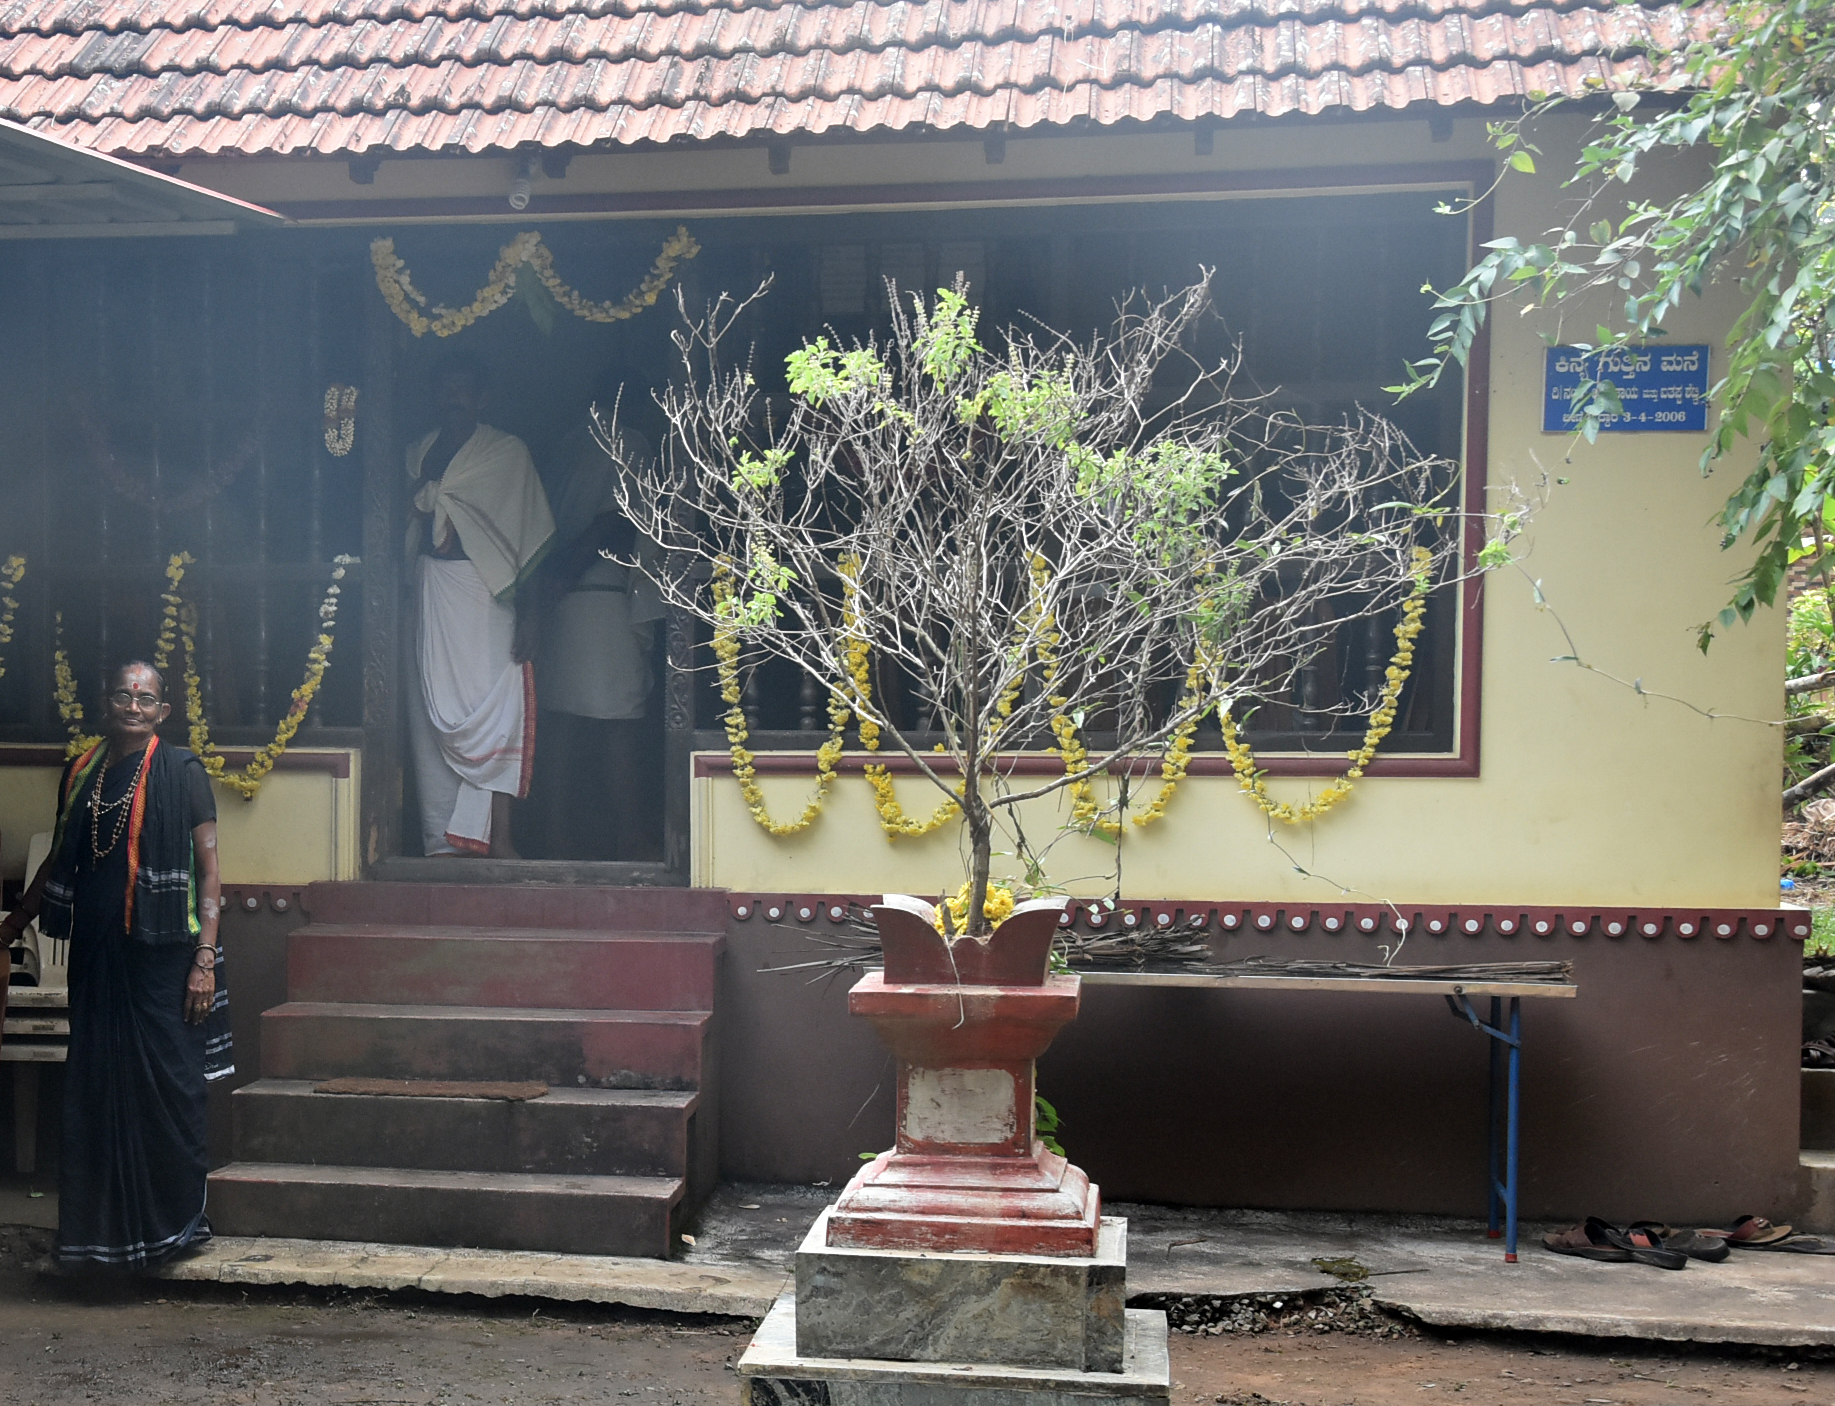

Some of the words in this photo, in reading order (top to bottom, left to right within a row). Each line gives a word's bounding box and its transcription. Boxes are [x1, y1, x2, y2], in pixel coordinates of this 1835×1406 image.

[1549, 349, 1595, 384] ಕಿನ್ಯ
[1594, 347, 1657, 384] ಗುತ್ತನ
[1656, 346, 1704, 378] ಮನೆ
[1543, 382, 1643, 403] ದಿನಯ
[1621, 406, 1690, 425] 3-4-2006